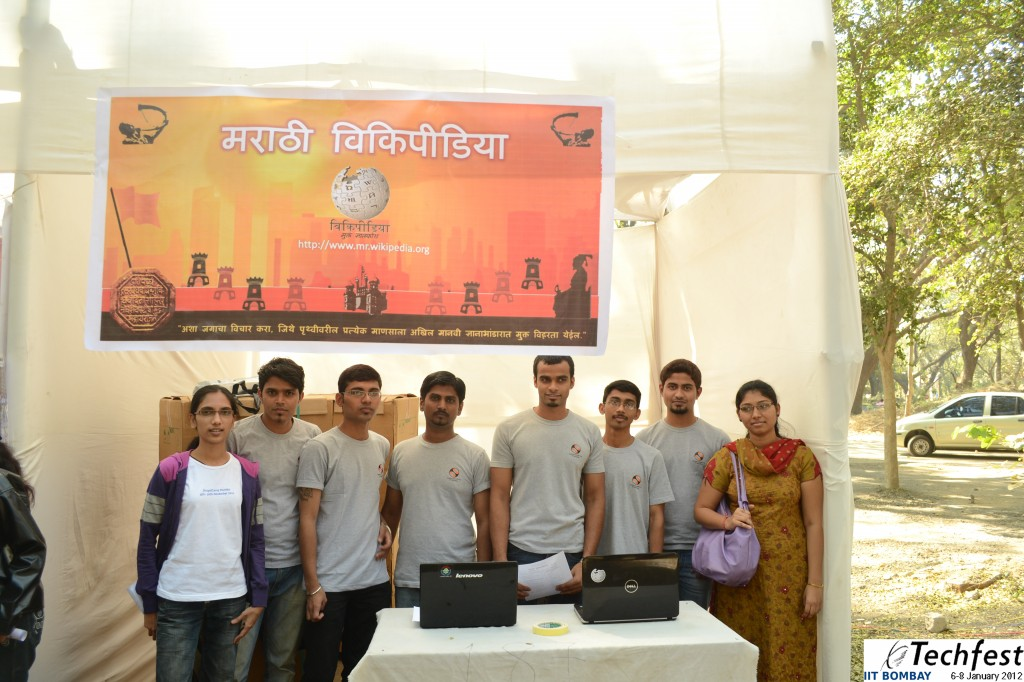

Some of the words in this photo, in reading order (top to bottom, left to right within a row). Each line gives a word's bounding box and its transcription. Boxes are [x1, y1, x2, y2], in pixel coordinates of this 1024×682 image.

[219, 117, 314, 158] मराठी
[325, 115, 517, 164] विकिपीडिया
[323, 213, 393, 237] विकिपीडिया
[294, 235, 435, 258] http://www.mr.wikipedia.org
[179, 321, 201, 336] अशा
[198, 321, 230, 339] जगाचा
[224, 317, 257, 336] विचार
[251, 318, 276, 336] करा,
[272, 317, 298, 339] जिथे
[293, 316, 342, 339] पृथ्वीवरील
[338, 318, 371, 339] प्रत्येक
[368, 321, 410, 340] माणसाला
[407, 319, 437, 342] अखिल
[433, 322, 467, 340] मानवी
[460, 321, 515, 341] ज्ञानाभांडारात
[509, 325, 535, 345] मुक्त
[529, 322, 563, 341] विहरता
[557, 321, 585, 344] येईल.
[907, 639, 1021, 670] Techfest
[858, 668, 883, 682] IIT
[878, 668, 933, 682] BOMBAY
[944, 661, 1024, 682] 6-8.January2012